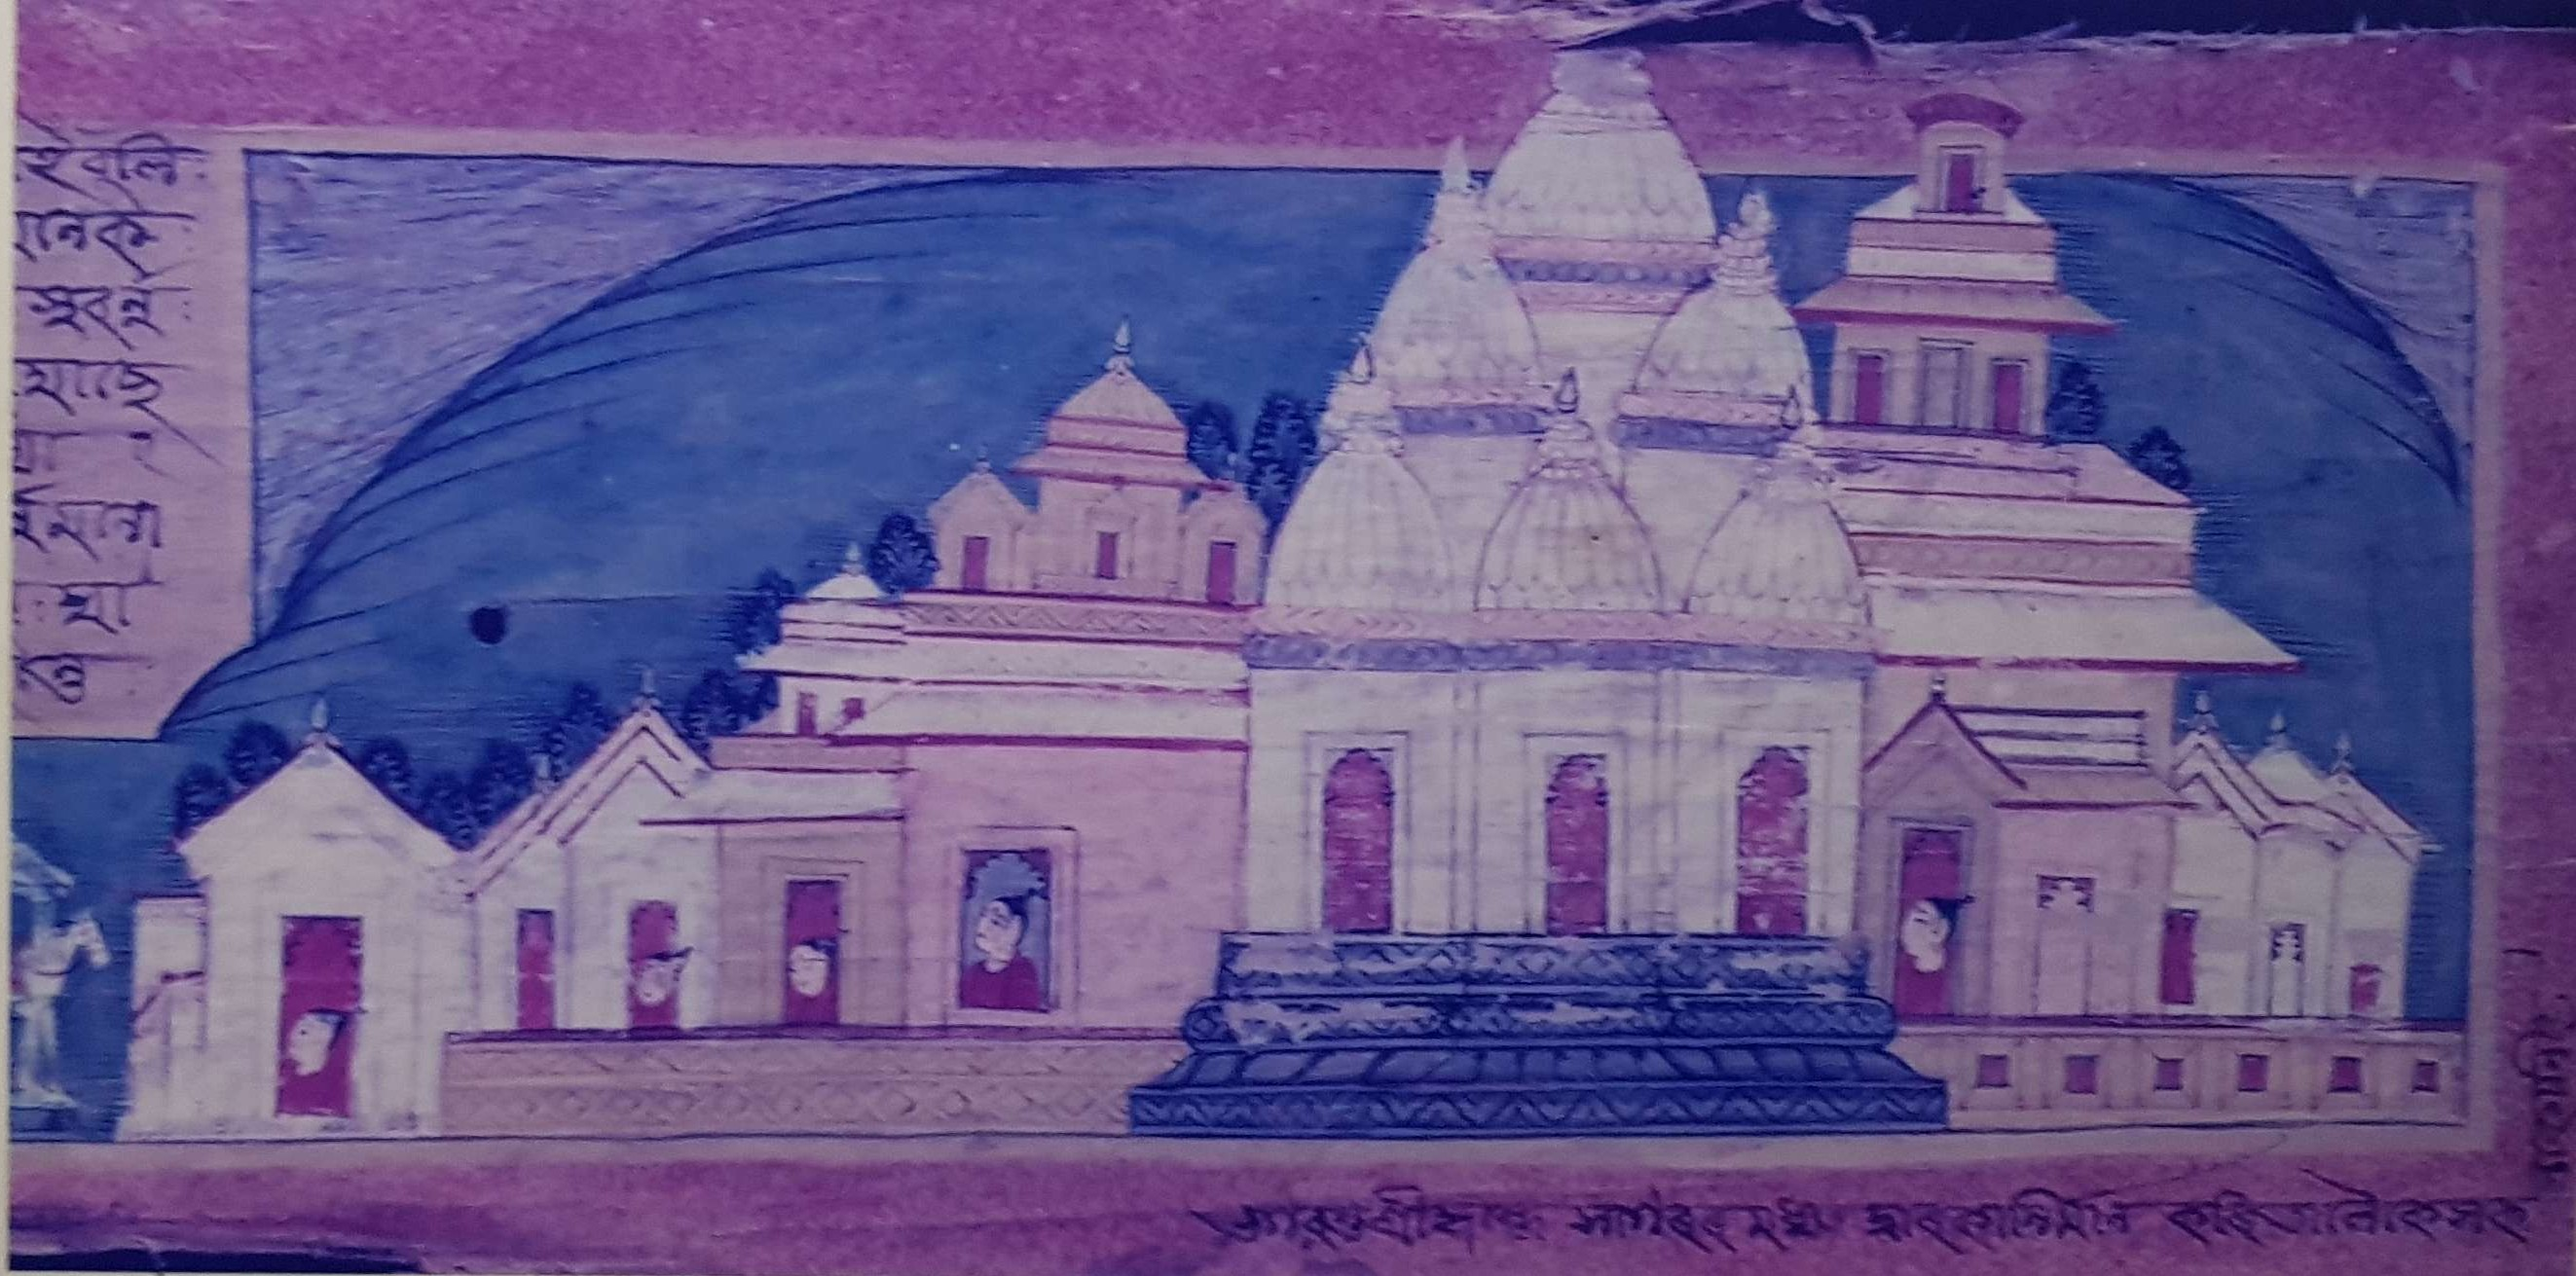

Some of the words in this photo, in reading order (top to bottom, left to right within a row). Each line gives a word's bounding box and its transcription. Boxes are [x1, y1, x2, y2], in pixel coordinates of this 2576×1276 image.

[12, 263, 181, 358] সুবর্ণ